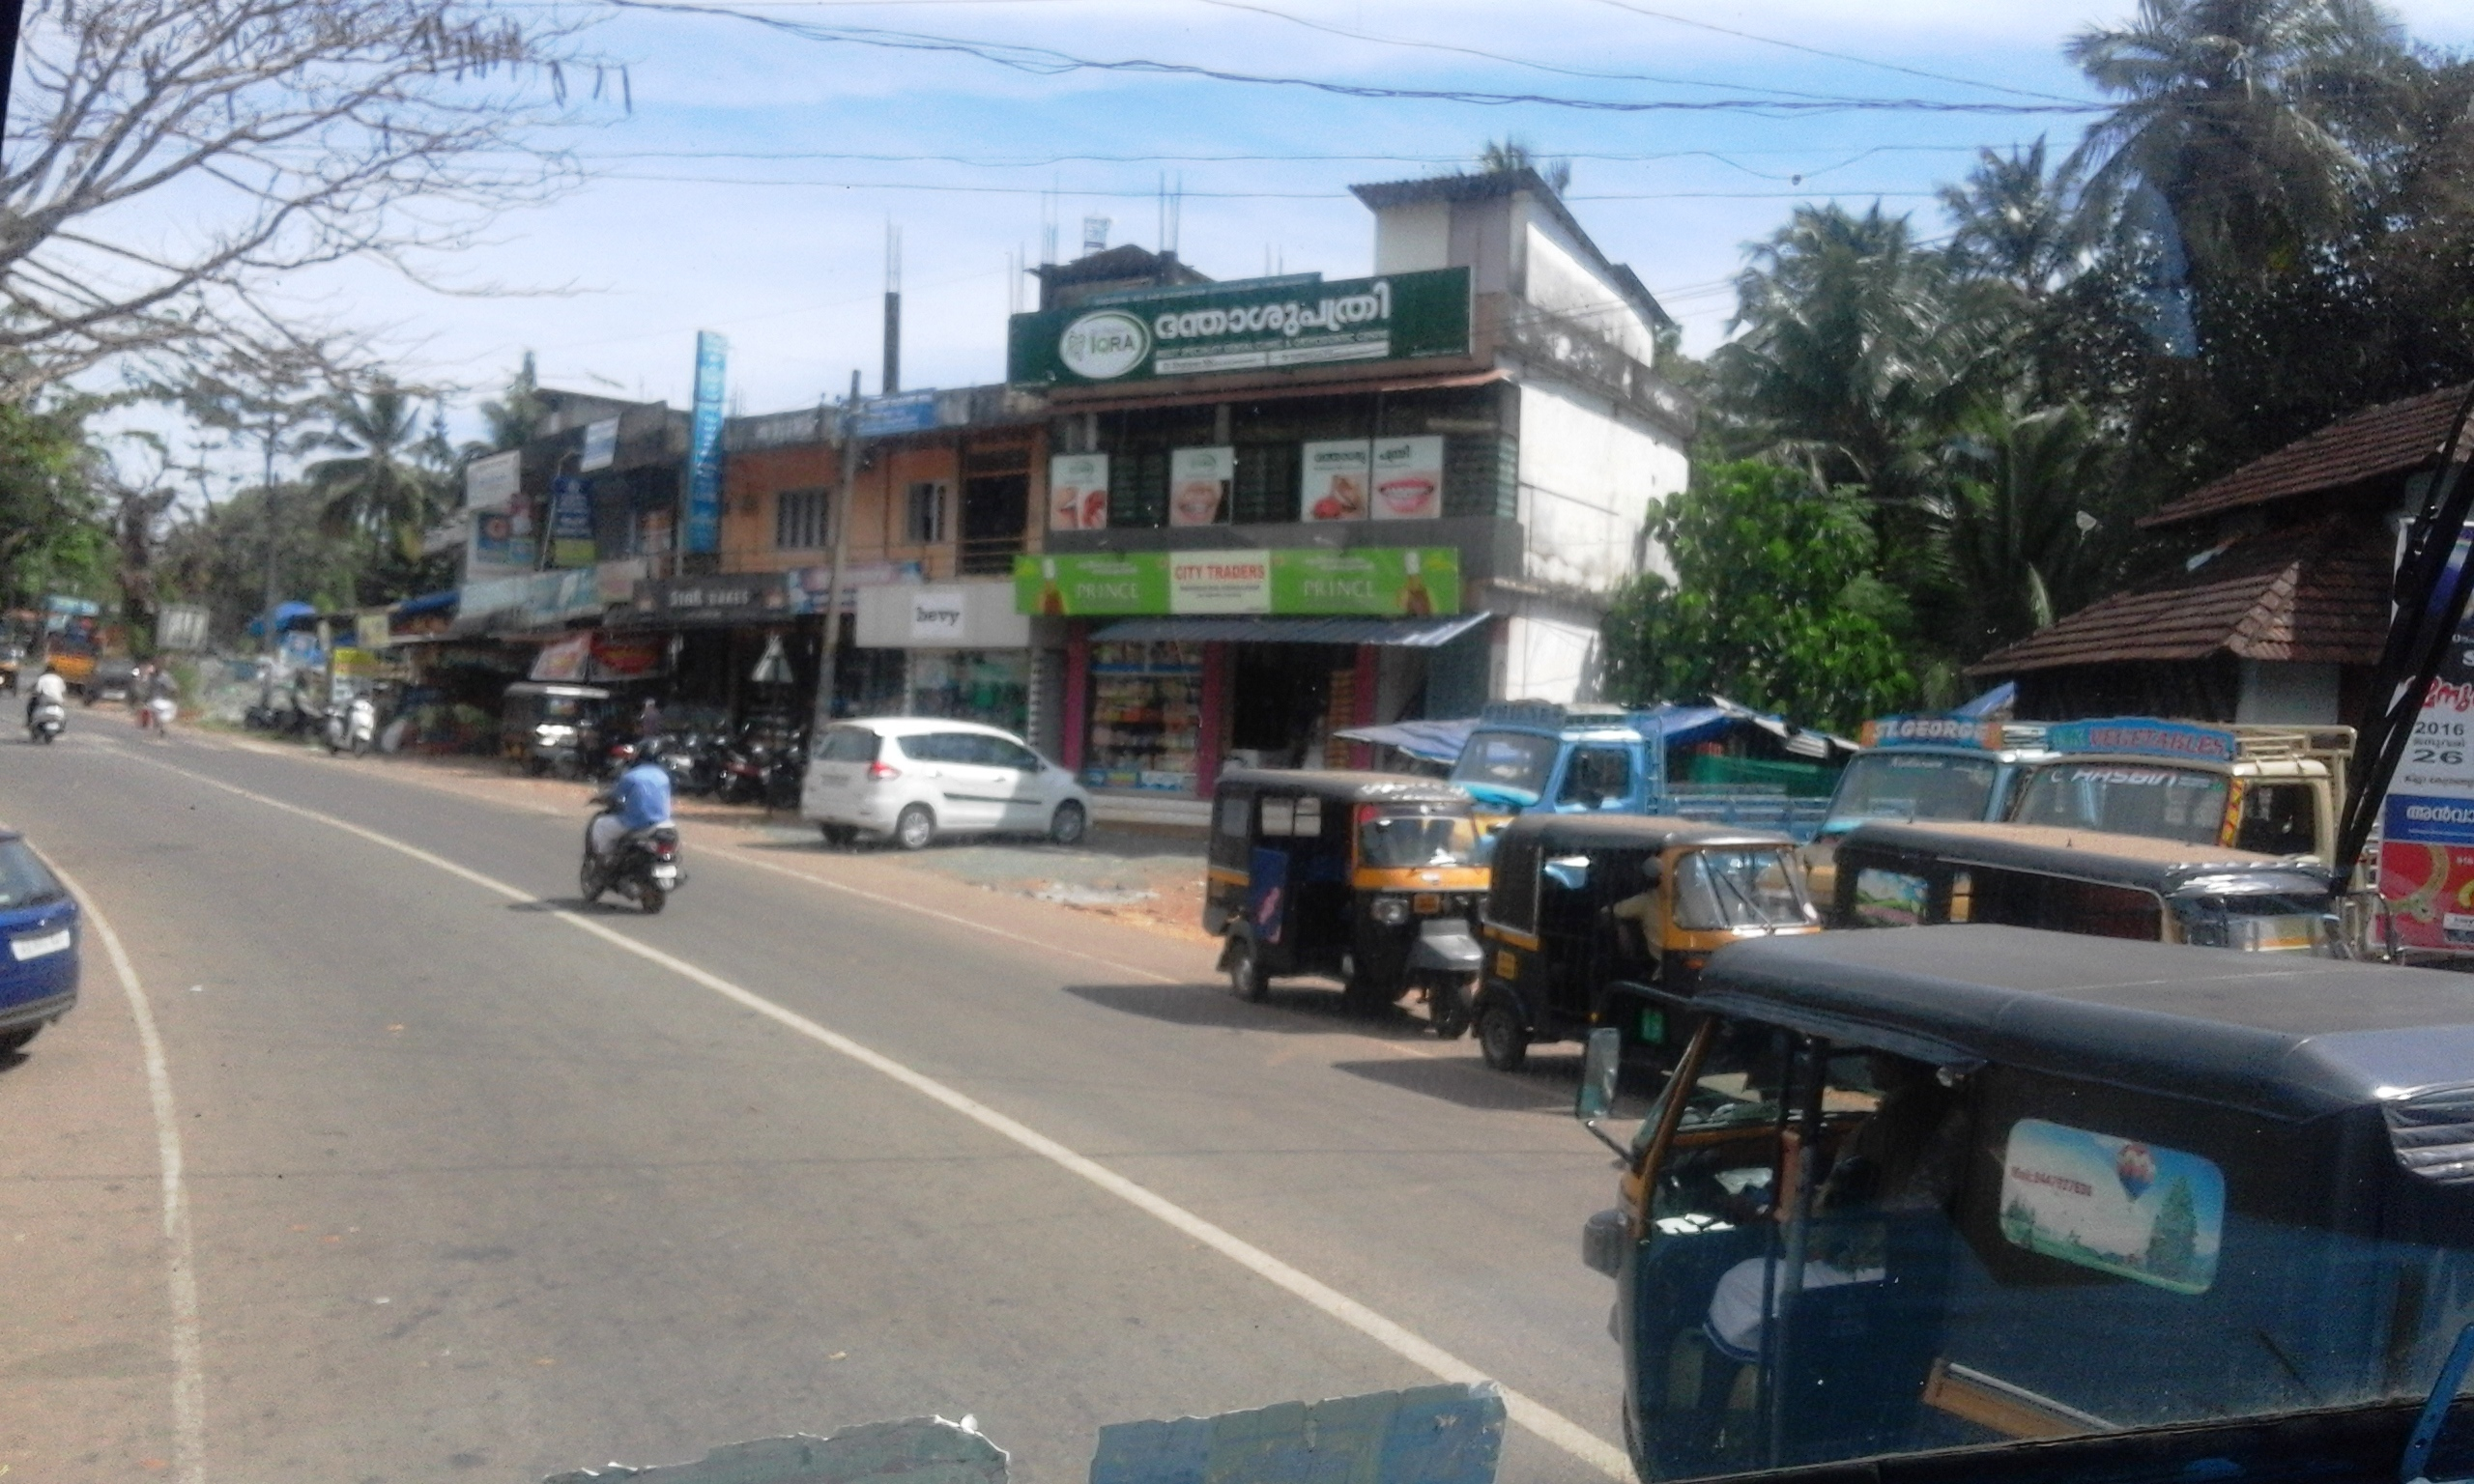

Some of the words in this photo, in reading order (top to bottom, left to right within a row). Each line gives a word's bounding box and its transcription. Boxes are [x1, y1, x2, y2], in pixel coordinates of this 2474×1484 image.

[1151, 274, 1395, 344] ദന്താശുപത്രി
[1168, 561, 1207, 585] CITY
[1207, 556, 1272, 581] TRADERS
[1071, 576, 1145, 606] PRINCE
[1296, 574, 1377, 603] PRINCE
[910, 601, 964, 627] hevy
[1868, 710, 1993, 745] ST.GEORGE
[2084, 722, 2235, 760] VEGETABLES
[2408, 717, 2470, 741] 2016
[2397, 793, 2472, 833] അൻവ